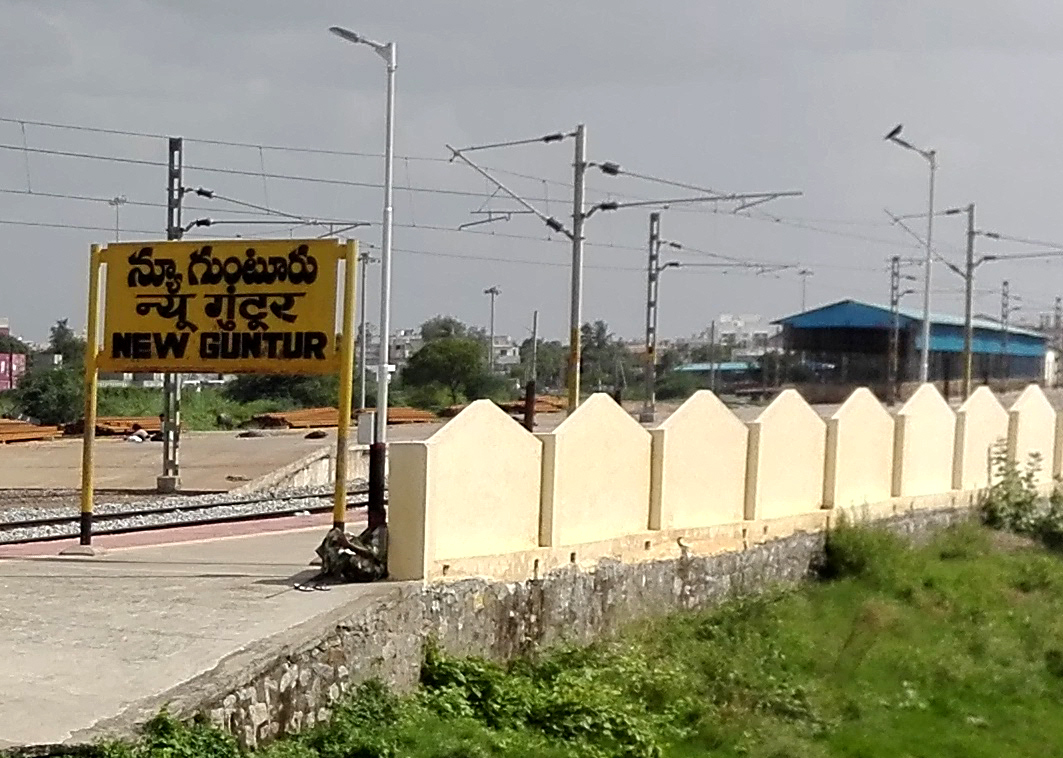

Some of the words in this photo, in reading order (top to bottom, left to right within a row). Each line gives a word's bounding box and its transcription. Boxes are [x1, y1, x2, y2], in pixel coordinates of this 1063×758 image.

[117, 236, 190, 300] న్యూ
[175, 236, 324, 292] గుంటూరు
[133, 289, 203, 338] न्यू
[198, 278, 307, 336] गुंटूर
[106, 324, 196, 365] NEW
[196, 326, 334, 364] GUNTUR